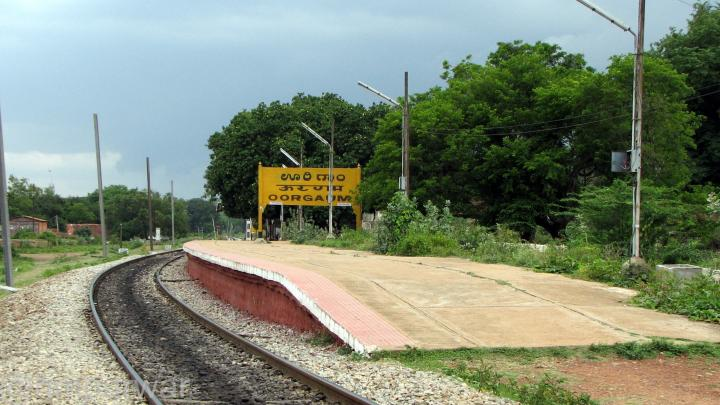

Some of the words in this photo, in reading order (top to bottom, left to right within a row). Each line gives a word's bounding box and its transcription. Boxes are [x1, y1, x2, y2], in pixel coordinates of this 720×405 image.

[273, 175, 348, 196] ऊरणम
[275, 165, 349, 186] ಊರಿಗಂ
[258, 188, 356, 206] OORGAUM